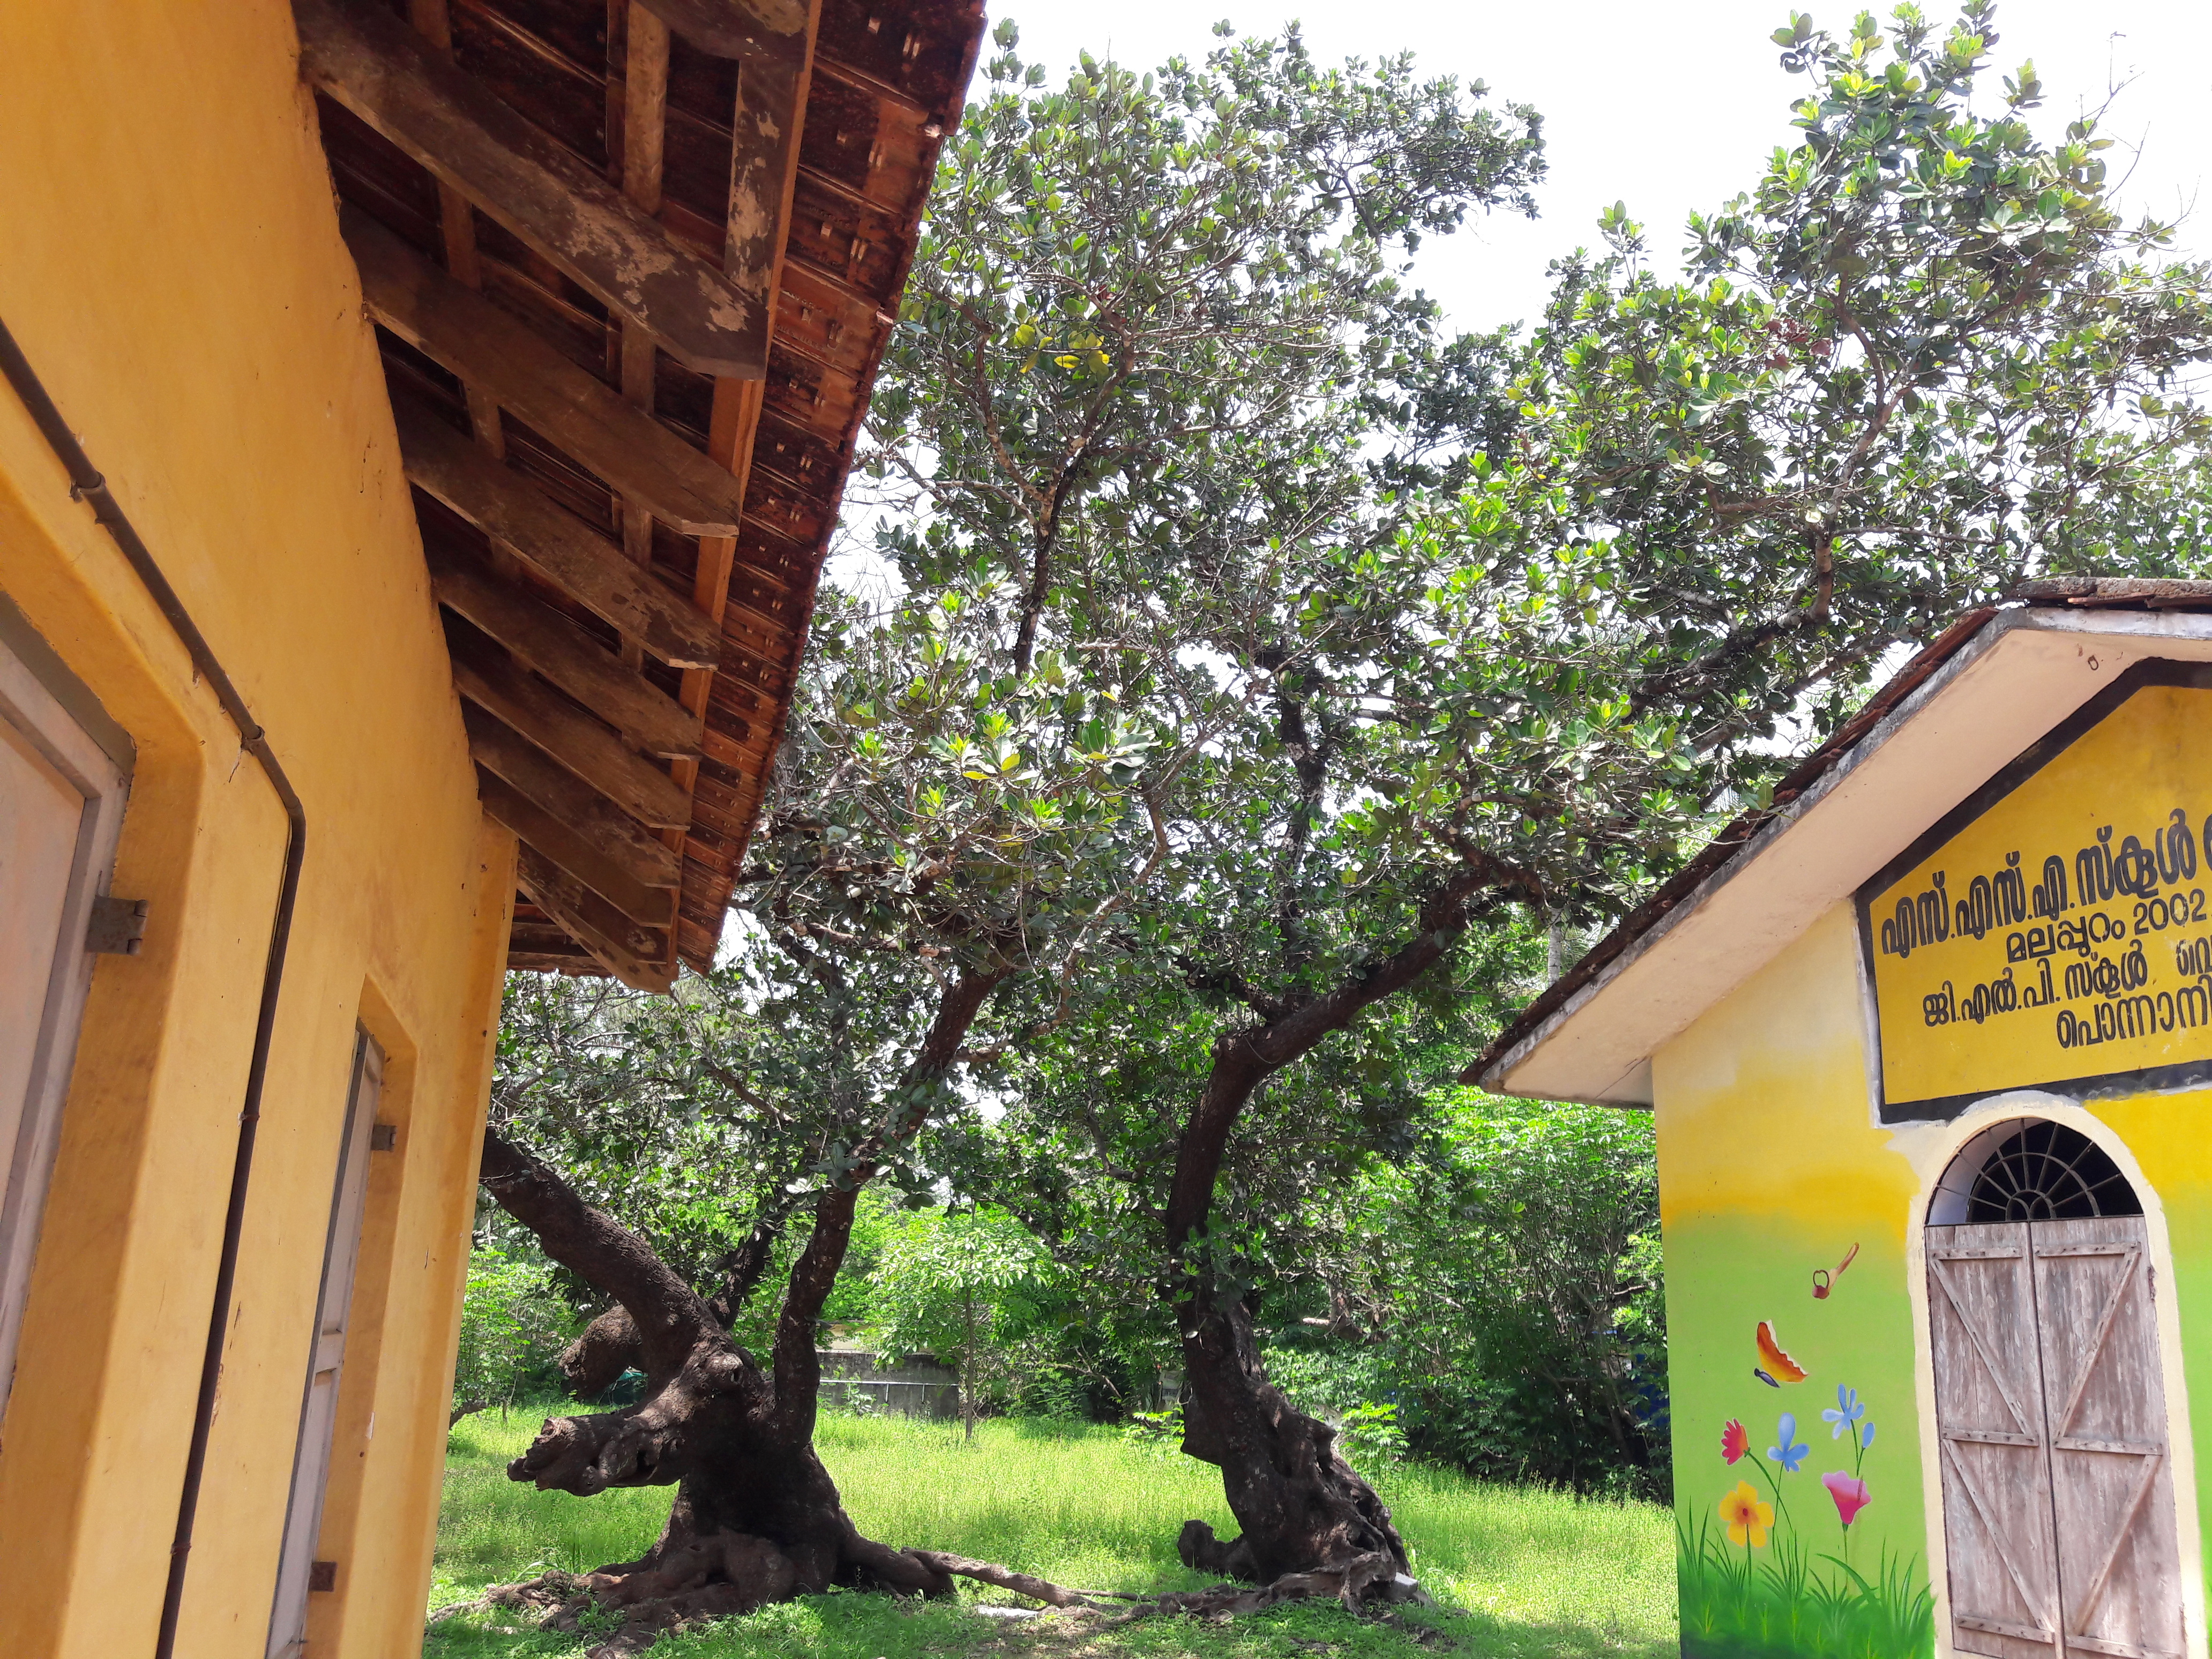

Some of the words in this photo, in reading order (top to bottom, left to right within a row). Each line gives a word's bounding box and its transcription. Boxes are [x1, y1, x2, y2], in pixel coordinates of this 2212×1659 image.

[1878, 844, 2079, 963] എസ്.എസ്. എ.
[1916, 932, 2150, 1028] ജി.എൽ.പി. സ്‌കൂൾ
[2002, 907, 2130, 967] മലപ്പുറം
[2056, 968, 2211, 1053] പൊന്നാനി
[2069, 806, 2201, 908] സ്‌കൂൾ
[2129, 879, 2212, 938] 2002